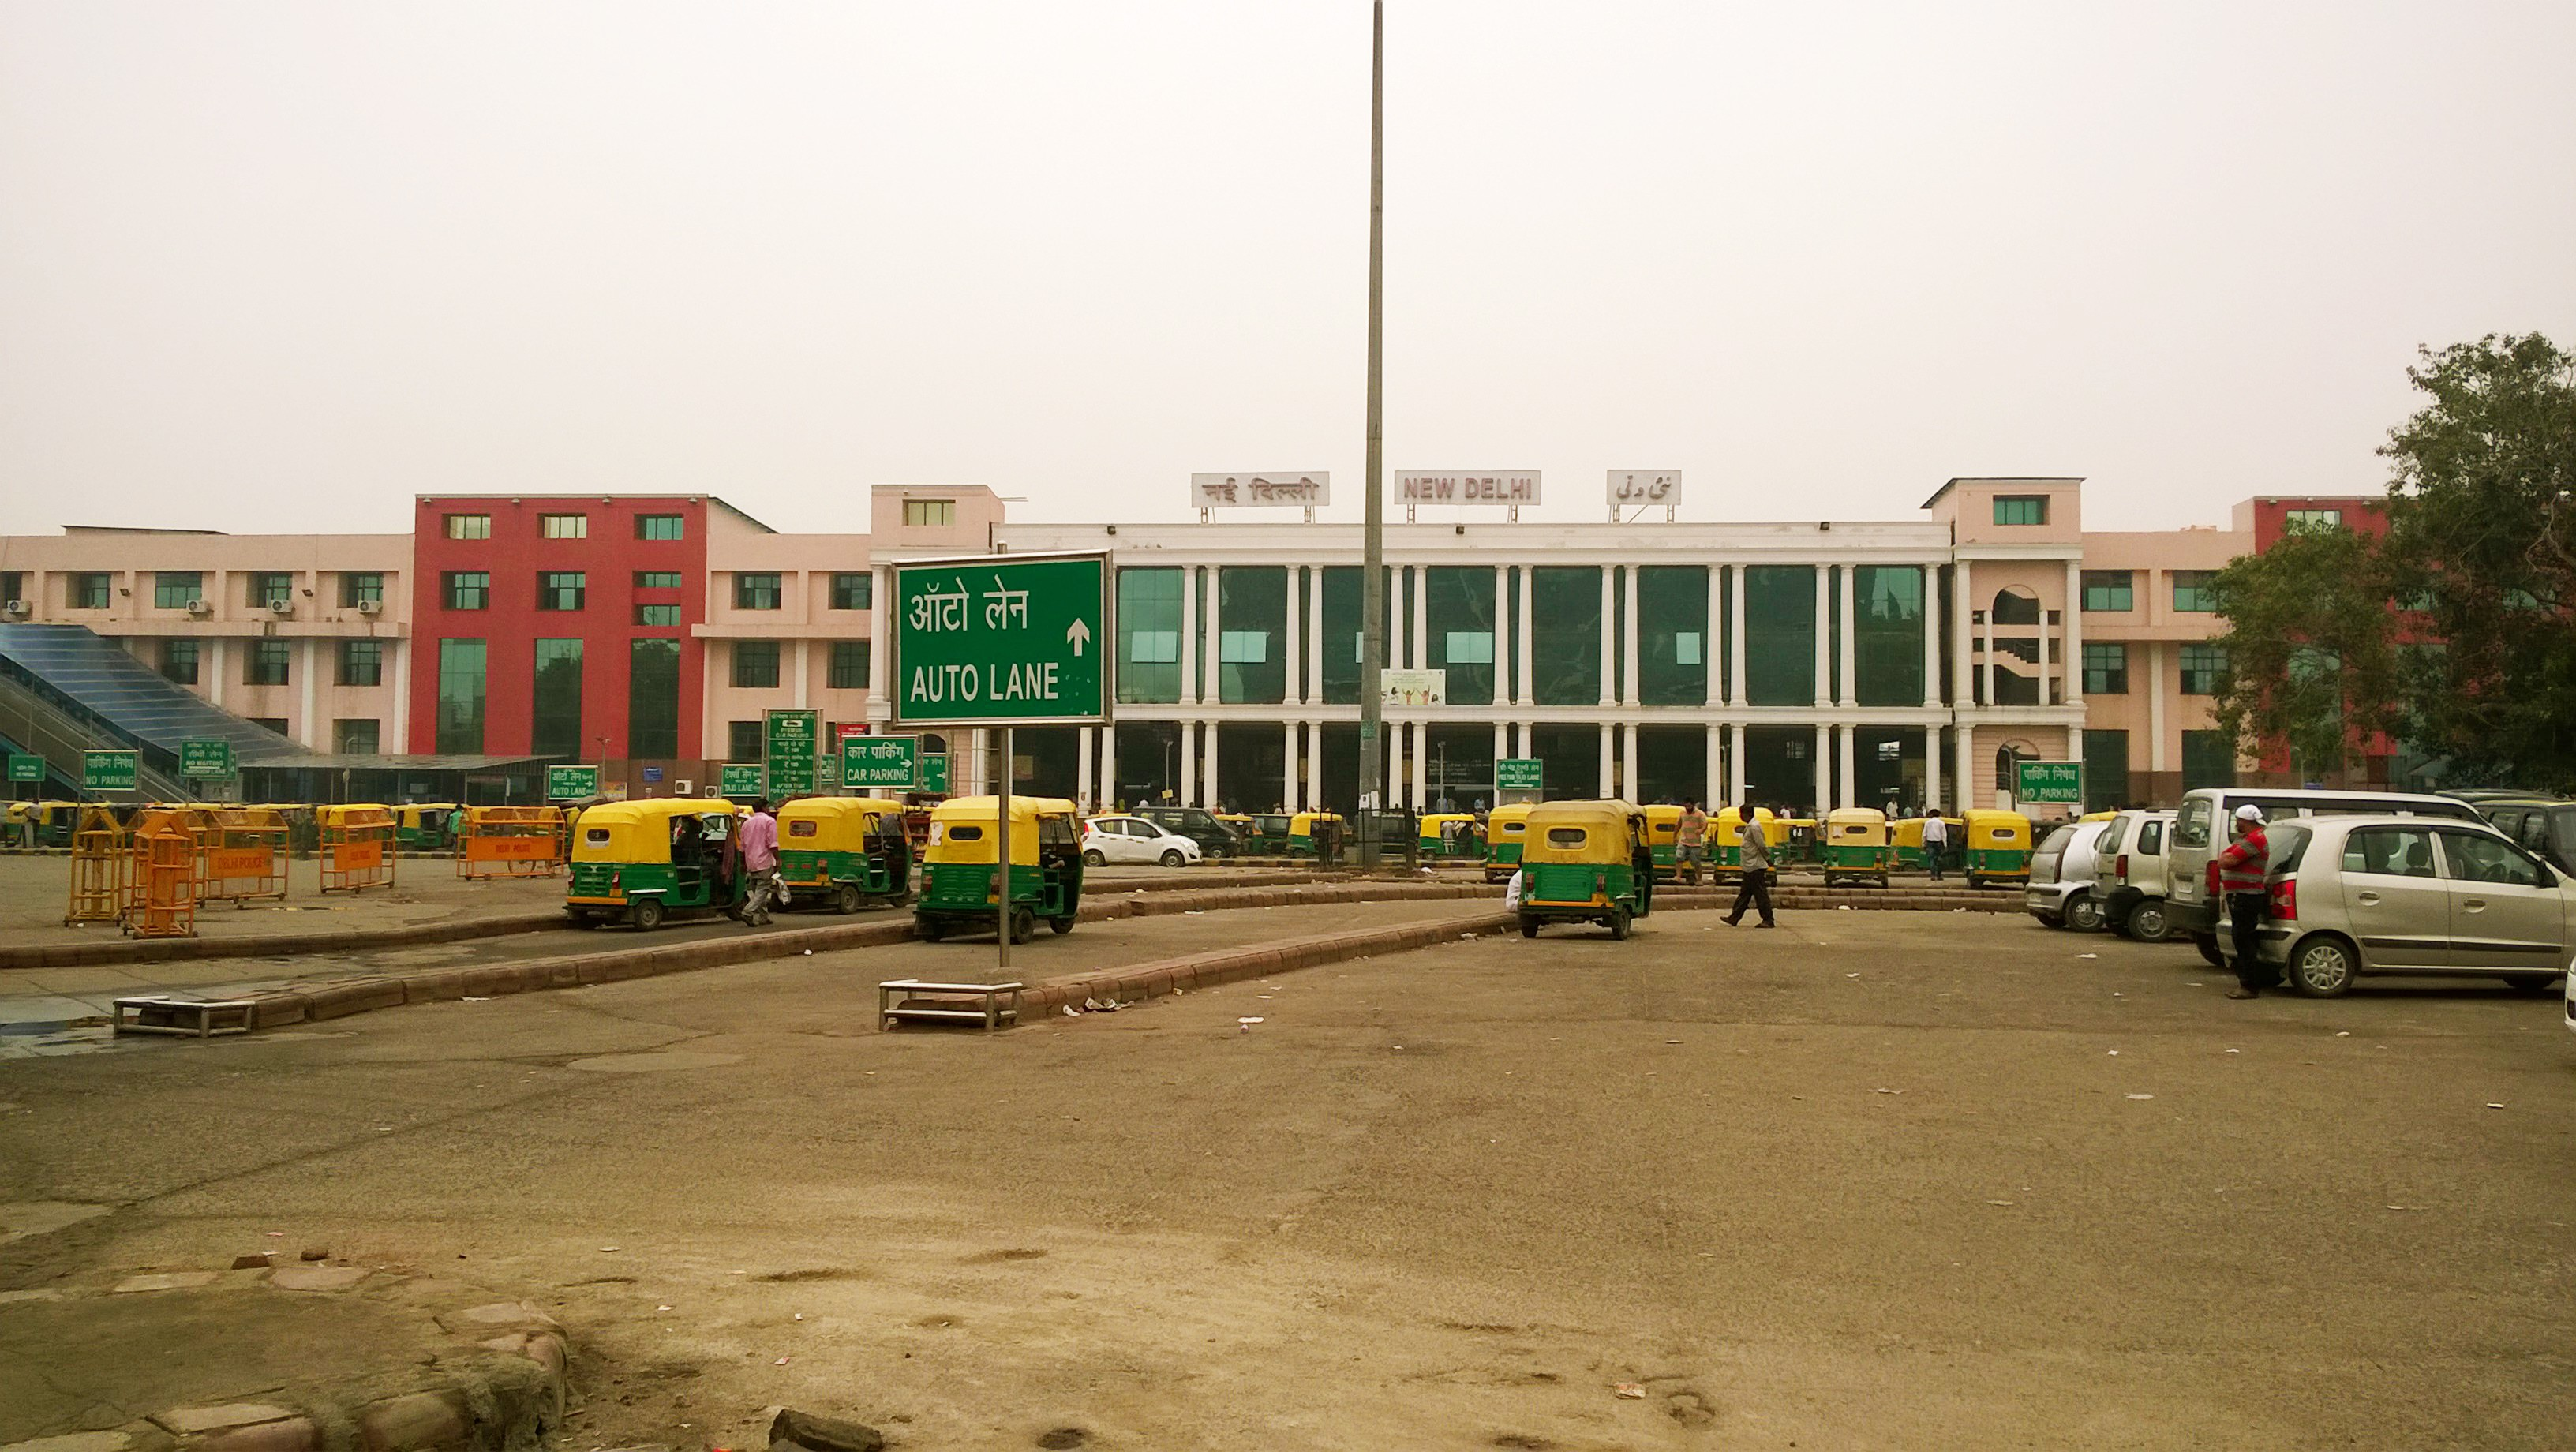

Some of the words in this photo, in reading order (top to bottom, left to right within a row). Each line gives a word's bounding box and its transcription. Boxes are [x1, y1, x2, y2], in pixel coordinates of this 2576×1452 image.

[907, 573, 973, 635] ऑटो
[979, 571, 1029, 633] लेन
[907, 662, 982, 703] AUTO
[982, 653, 1068, 709] LANE
[85, 750, 113, 771] पाकिंग
[109, 752, 137, 770] निषेध
[845, 744, 869, 762] कार
[869, 738, 908, 762] पार्किंग
[84, 774, 100, 787] NO
[100, 774, 138, 787] PARKING
[549, 767, 569, 783] ऑटो
[549, 784, 571, 797] AUTO
[568, 766, 583, 784] लेन
[567, 784, 589, 797] LANE
[723, 782, 738, 793] TAXI
[722, 765, 742, 782] टैक्सी
[736, 782, 755, 793] LANE
[739, 765, 754, 780] लेन
[845, 766, 869, 783] CAR
[869, 765, 911, 784] PARKING